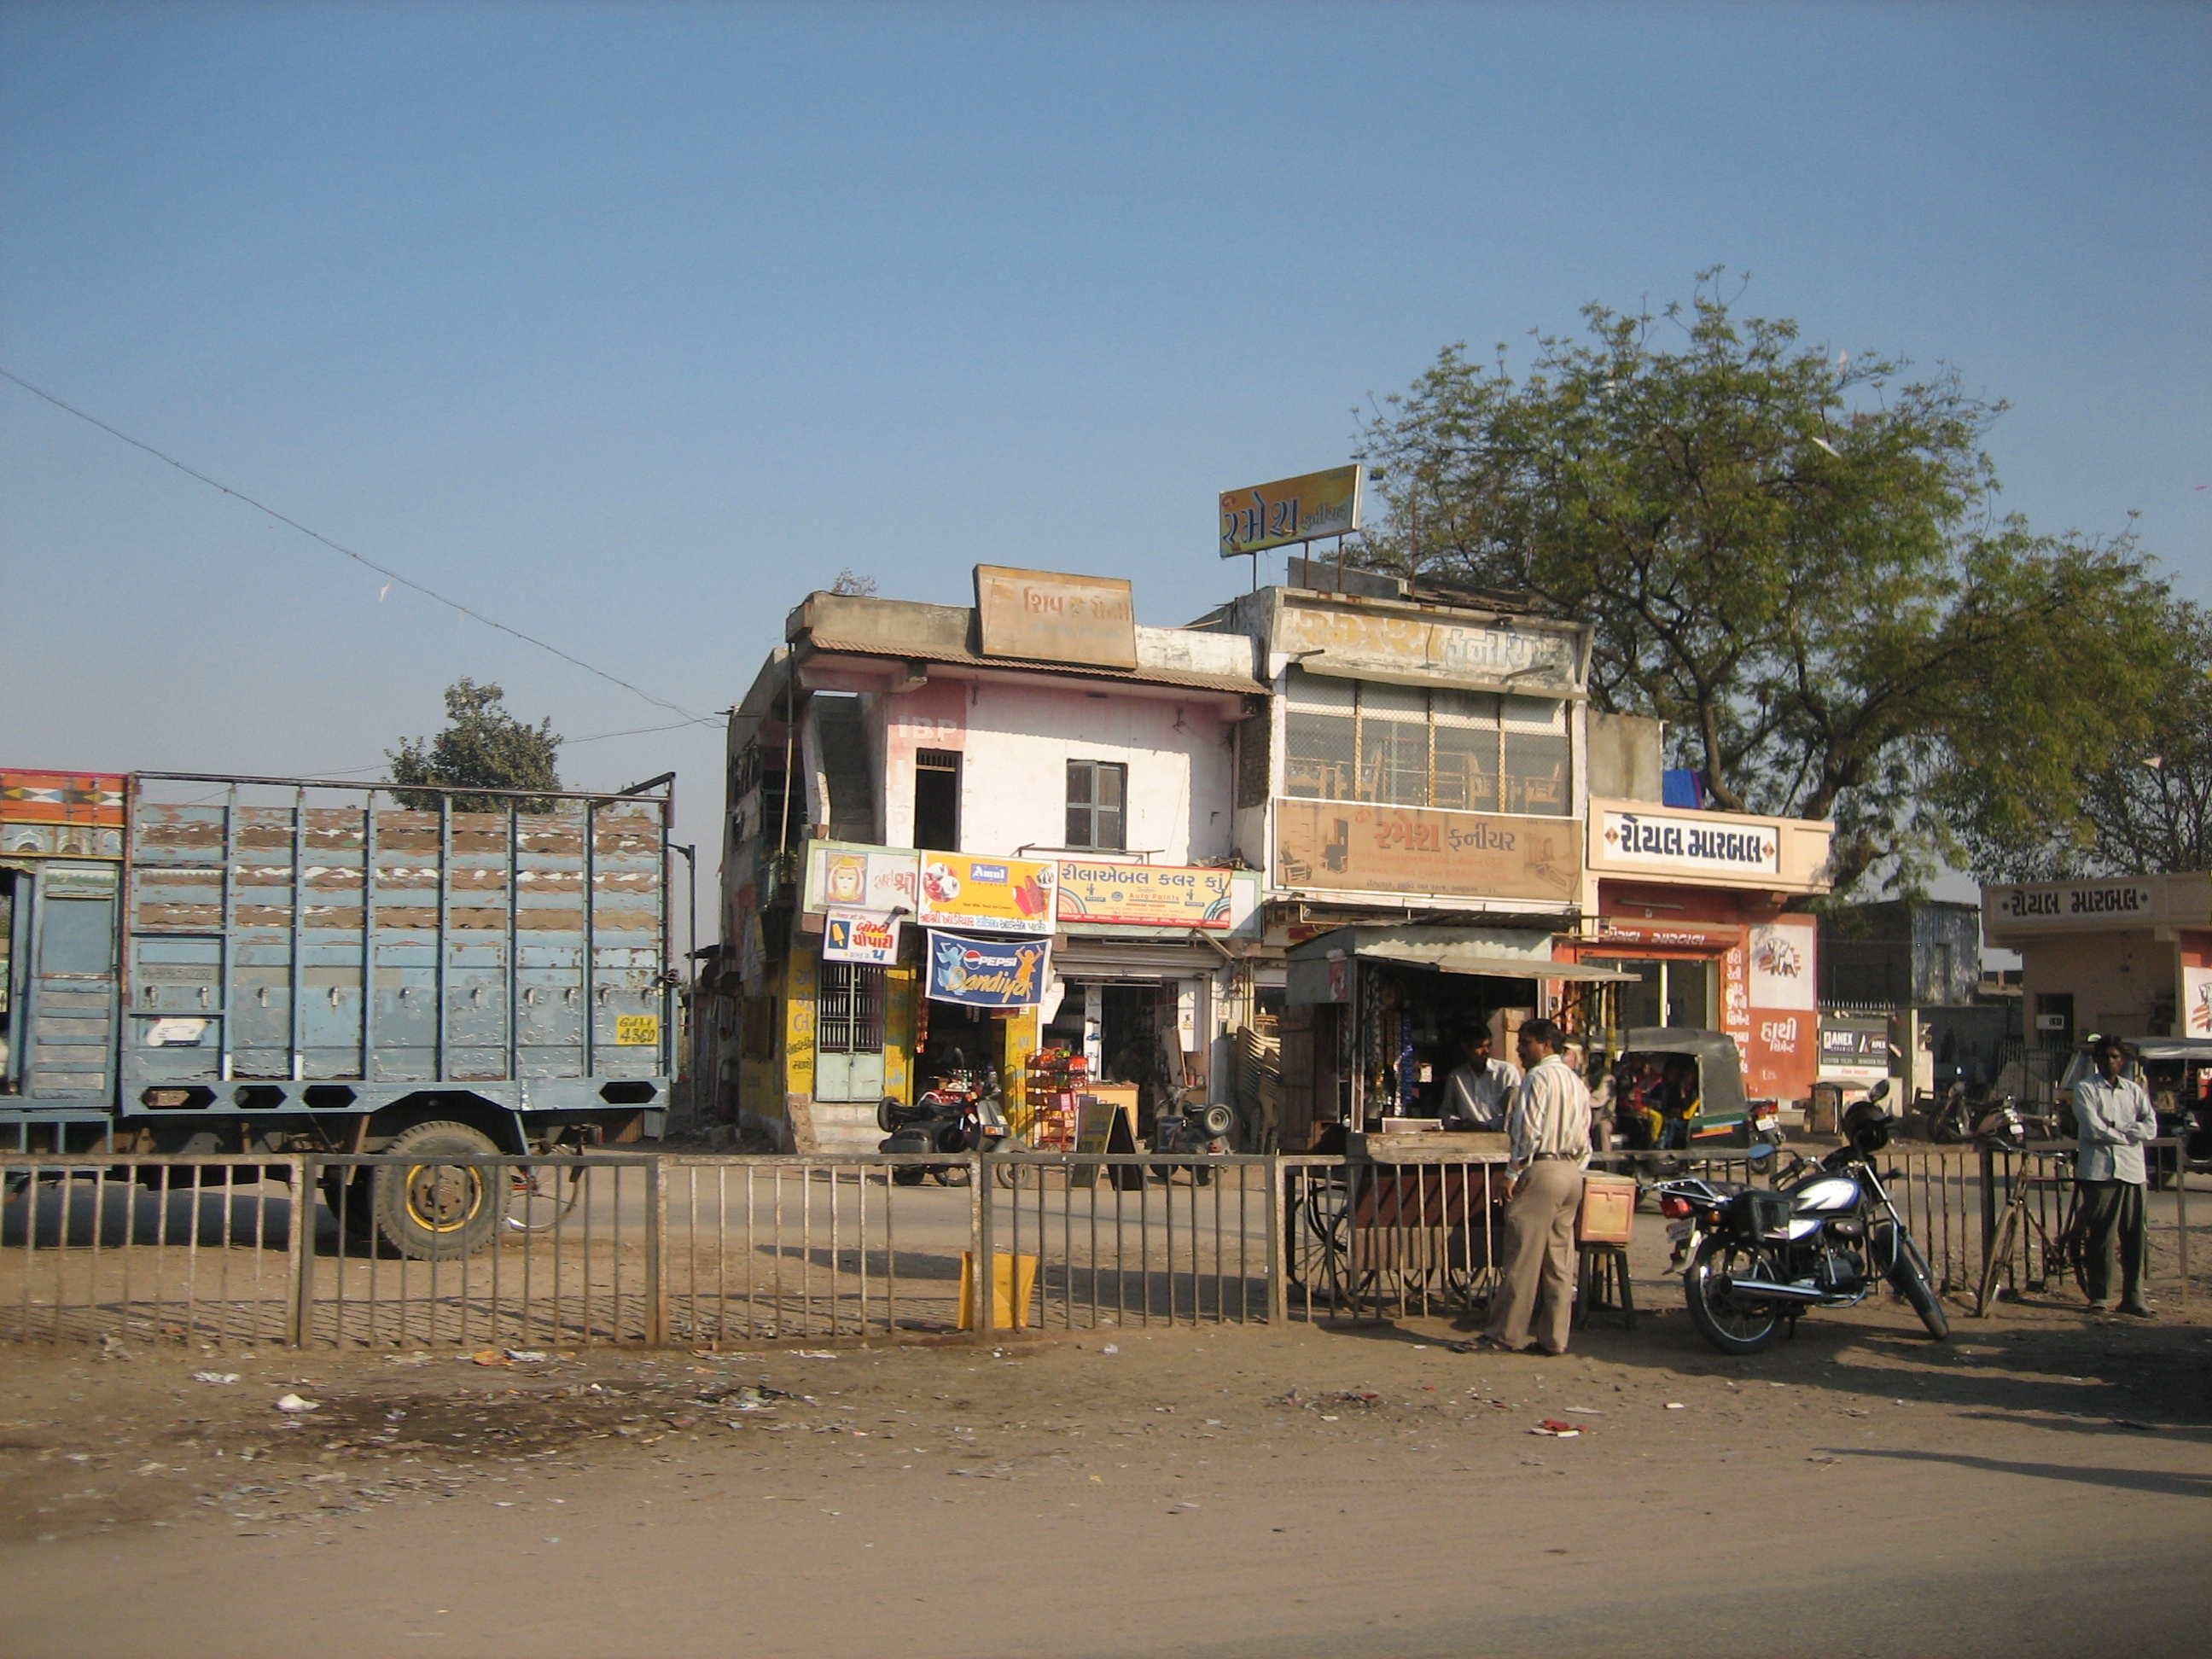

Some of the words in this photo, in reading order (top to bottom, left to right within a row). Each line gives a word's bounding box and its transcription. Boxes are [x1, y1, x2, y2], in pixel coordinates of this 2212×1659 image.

[1224, 492, 1309, 545] રમેશ
[1387, 820, 1518, 859] મેશ ફર્નીયર
[1608, 812, 1685, 864] રોયલ
[1684, 823, 1771, 868] મારબલ
[1110, 870, 1150, 886] બલ
[1155, 872, 1196, 890] કલર